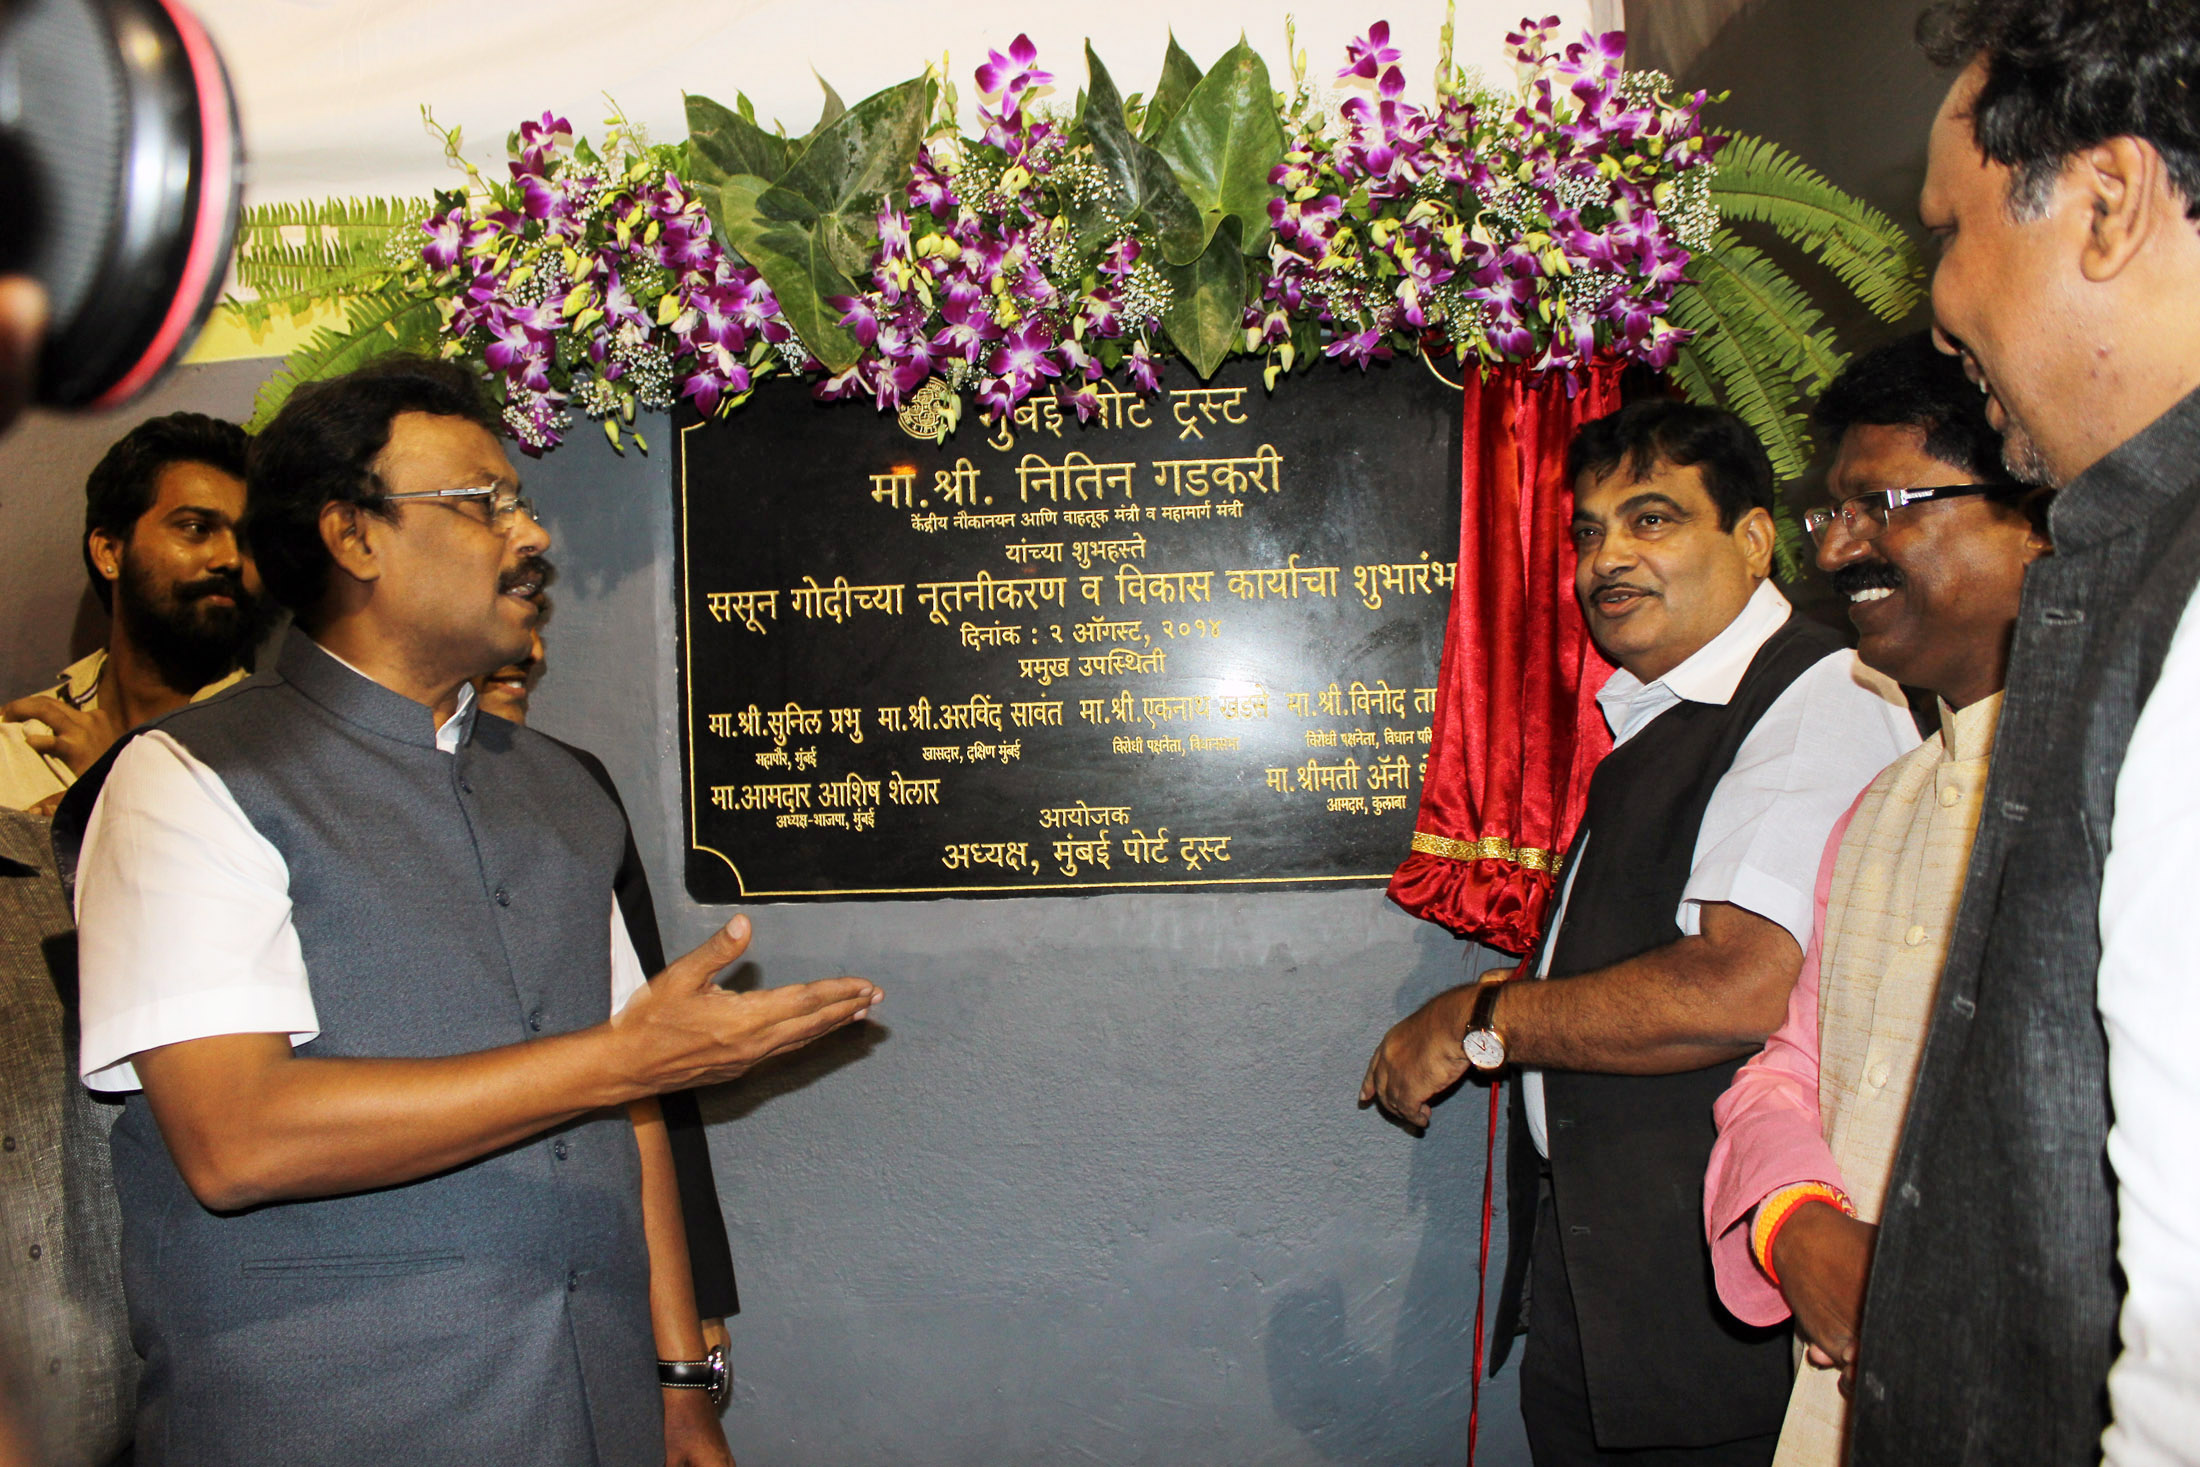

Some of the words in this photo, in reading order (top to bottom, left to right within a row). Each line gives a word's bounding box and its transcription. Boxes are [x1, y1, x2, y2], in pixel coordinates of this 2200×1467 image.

[1164, 379, 1268, 445] ट्रस्ट
[861, 465, 934, 515] मा.
[904, 509, 951, 539] केंद्रीय
[927, 451, 997, 509] श्री.
[951, 507, 1019, 535] नौकानयन
[1018, 504, 1063, 533] आणि
[1006, 446, 1139, 509] नितिन
[1061, 505, 1111, 533] वाहतूक
[1111, 500, 1141, 526] मंत्री
[1142, 503, 1160, 525] व
[1159, 497, 1217, 525] महामार्ग
[1147, 440, 1294, 500] गडकरी
[1213, 497, 1247, 521] मंत्री
[999, 533, 1068, 569] यांच्या
[1067, 526, 1152, 572] शुभहस्ते
[699, 580, 788, 641] ससून
[786, 567, 911, 627] गोदीच्या
[954, 616, 1028, 656] दिनांक
[911, 565, 1075, 631] नूतनीकरण
[1044, 615, 1071, 651] २
[1075, 571, 1109, 611] व
[1067, 609, 1156, 651] ऑगस्ट,
[1110, 561, 1222, 612] विकास
[1156, 613, 1229, 648] २०१४
[1219, 549, 1343, 611] कार्याचा
[1348, 546, 1460, 615] शुभारंभ
[1012, 654, 1077, 691] प्रमुख
[1075, 643, 1176, 682] उपस्थिती
[703, 708, 739, 745] मा.
[703, 779, 742, 815] मा.
[733, 699, 773, 742] श्री.
[749, 745, 794, 776] महापौर,
[739, 779, 815, 815] आमदार
[765, 697, 826, 749] सुनिल
[793, 739, 823, 775] मुंबई
[770, 808, 853, 835] अध्यक्ष-भाजपा,
[825, 701, 870, 750] प्रभु
[815, 767, 886, 810] आशिष
[848, 805, 882, 840] मुंंबई
[871, 701, 913, 739] मा.
[882, 763, 947, 811] शेलार
[905, 693, 942, 737] श्री.
[915, 741, 967, 771] खासदार,
[935, 687, 1007, 737] अरविंद
[964, 737, 997, 767] दक्षिण
[997, 735, 1026, 767] मुंबई
[1007, 690, 1069, 733] सावंत
[1034, 795, 1135, 832] आयोजक
[1073, 694, 1113, 731] मा.
[1106, 685, 1145, 729] श्री.
[1107, 731, 1146, 759] विरोधी
[1145, 731, 1187, 762] पक्षनेता,
[1137, 691, 1217, 733] एकनाथ
[1215, 680, 1275, 723] खडसे
[1257, 761, 1302, 801] मा.
[1277, 684, 1321, 723] मा.
[1298, 726, 1339, 751] विरोधी
[1293, 752, 1365, 797] श्रीमती
[1313, 679, 1351, 719] श्री.
[1317, 793, 1370, 819] आमदार,
[1339, 725, 1383, 752] पक्षनेता,
[1345, 673, 1409, 724] विनोद
[1364, 748, 1413, 794] ॲनी
[1369, 793, 1411, 819] कुलाबा
[1379, 724, 1419, 749] विधान
[934, 833, 1045, 881] अध्यक्ष,
[1045, 827, 1117, 884] मुंबई
[1117, 822, 1177, 870] पोर्ट
[1175, 831, 1237, 877] ट्रस्ट